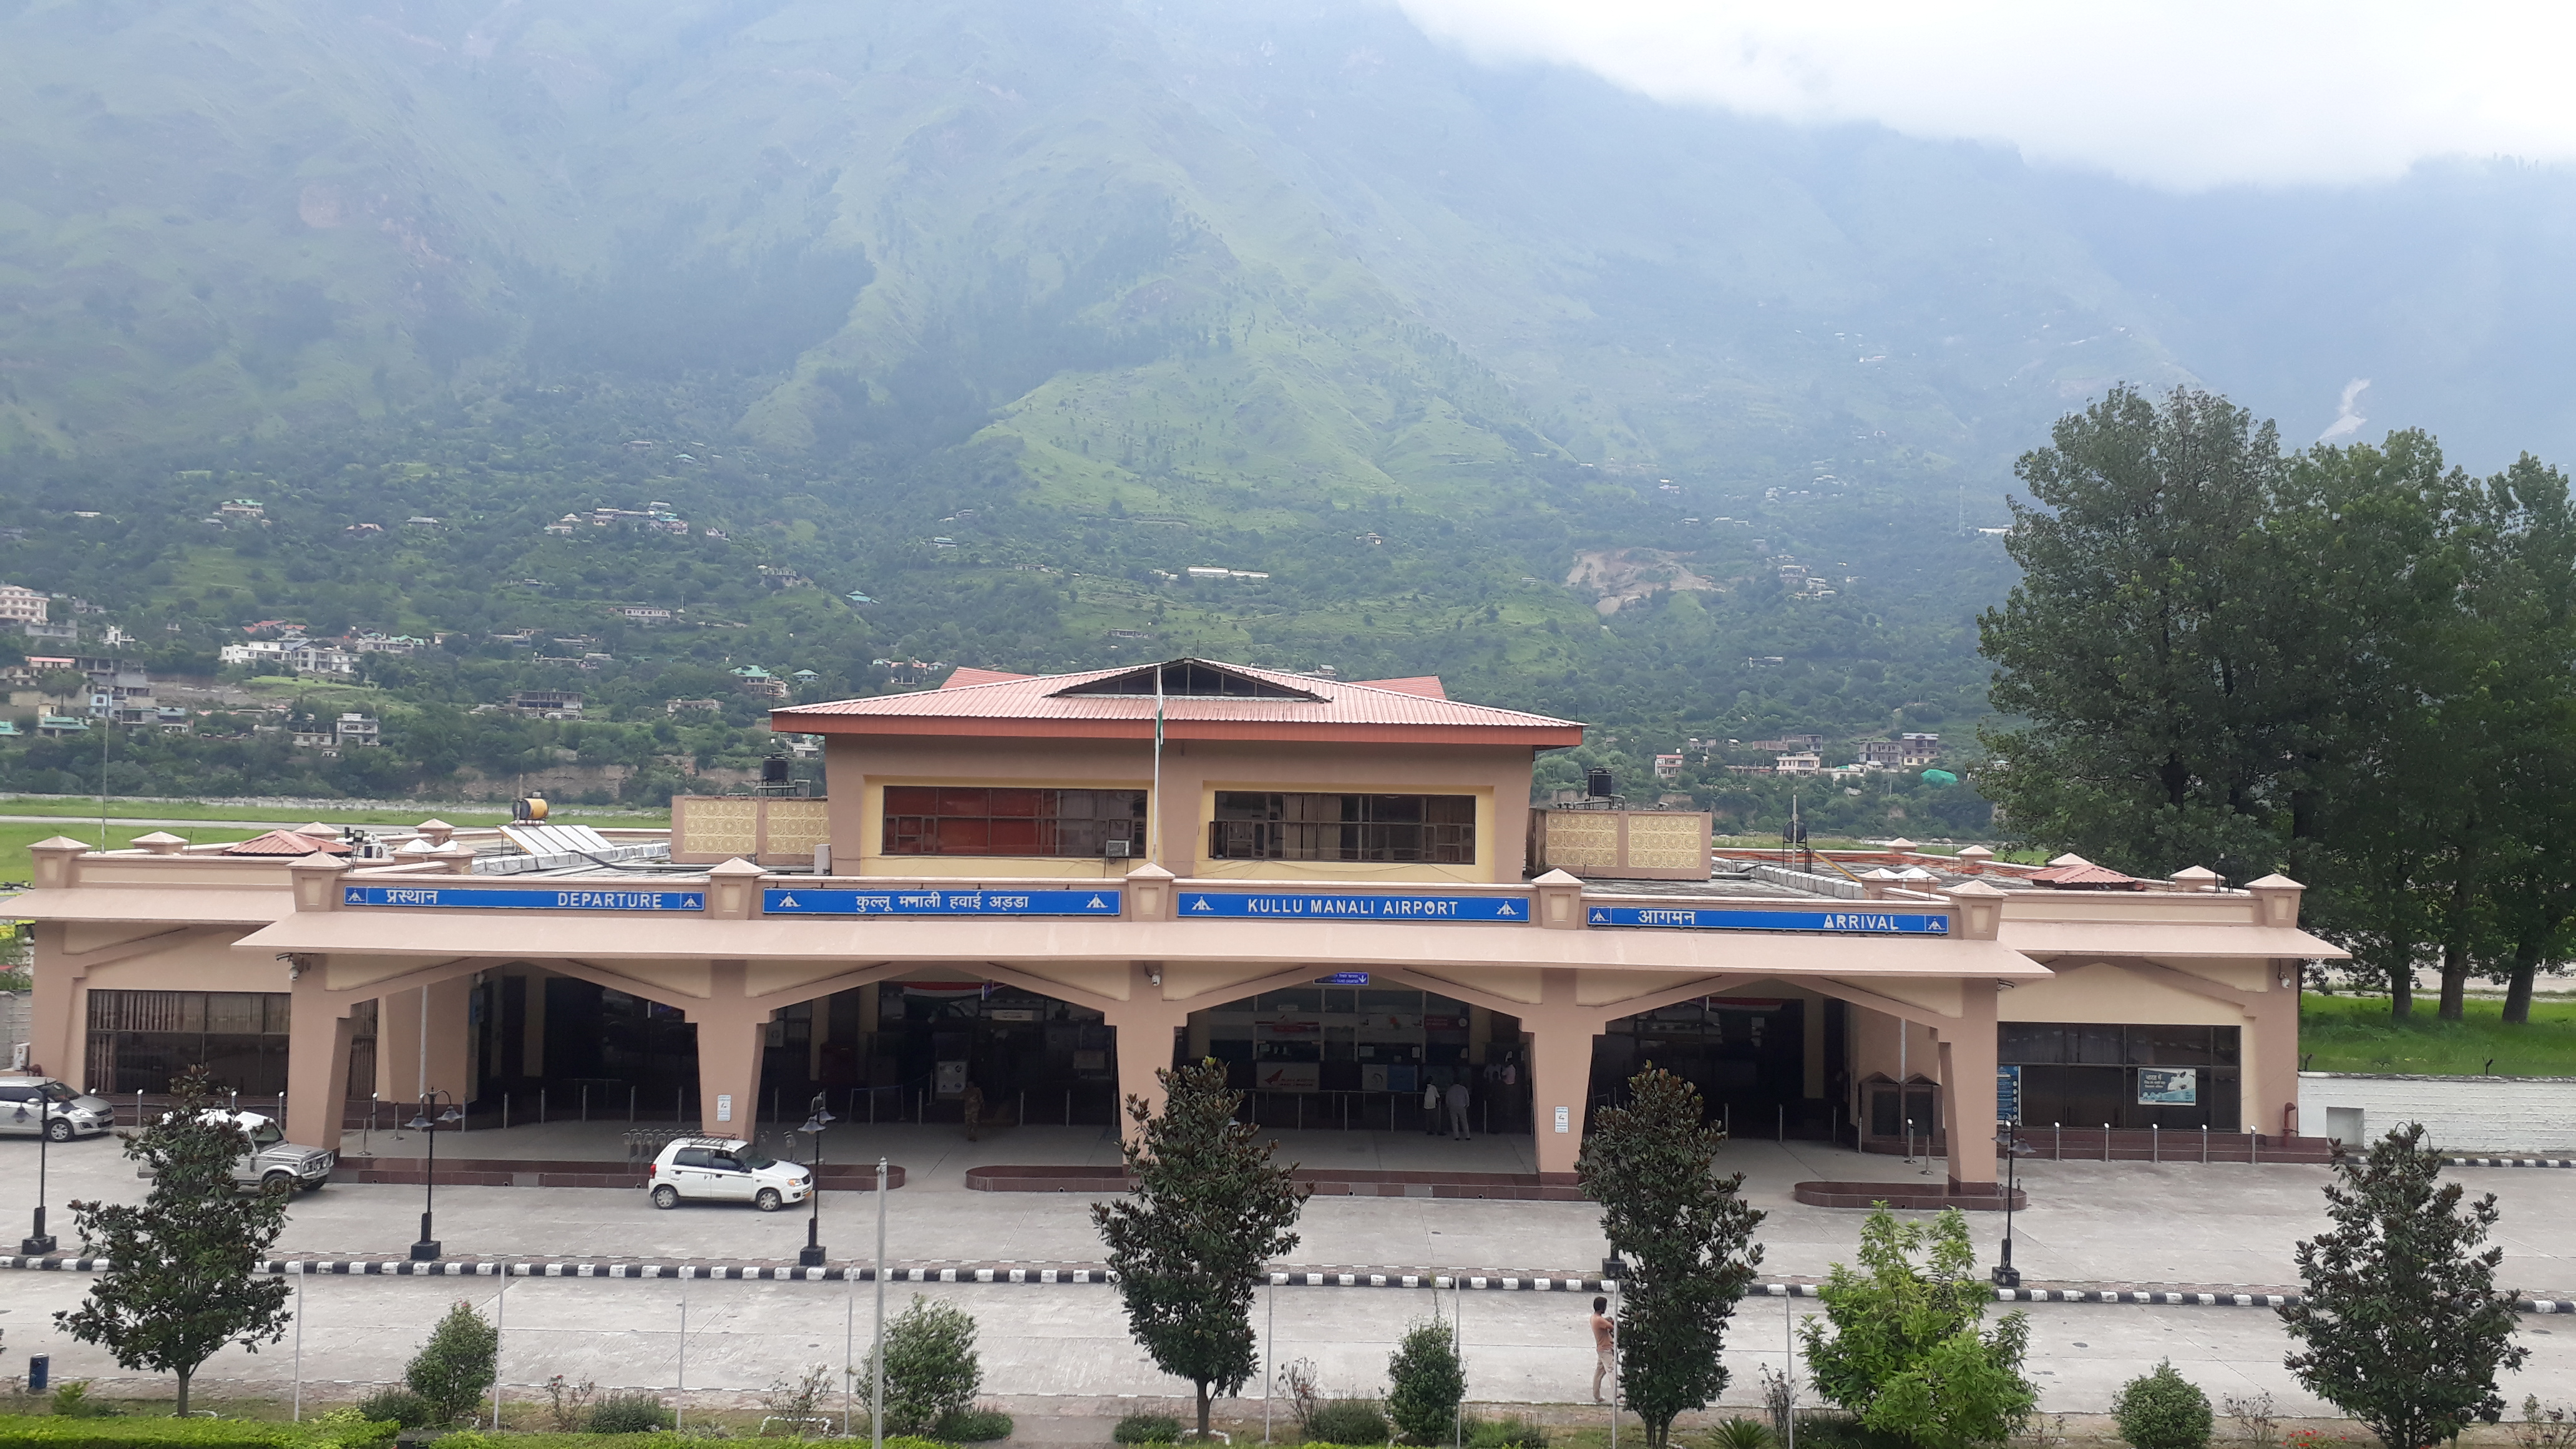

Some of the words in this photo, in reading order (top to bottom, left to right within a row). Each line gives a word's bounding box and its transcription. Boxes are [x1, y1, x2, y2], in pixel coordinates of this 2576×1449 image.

[385, 887, 441, 908] प्रस्‍थान
[555, 889, 666, 912] DEPARTURE
[854, 893, 894, 914] कुल्लू
[898, 887, 943, 912] मनाली
[947, 889, 983, 910] हवाई
[989, 894, 1032, 913] अड्डा
[1246, 895, 1304, 916] KULLU
[1309, 897, 1376, 917] MANALI
[1378, 898, 1461, 917] AIRPORT
[1636, 908, 1697, 927] आगमन
[1820, 912, 1901, 932] ARRIVAL